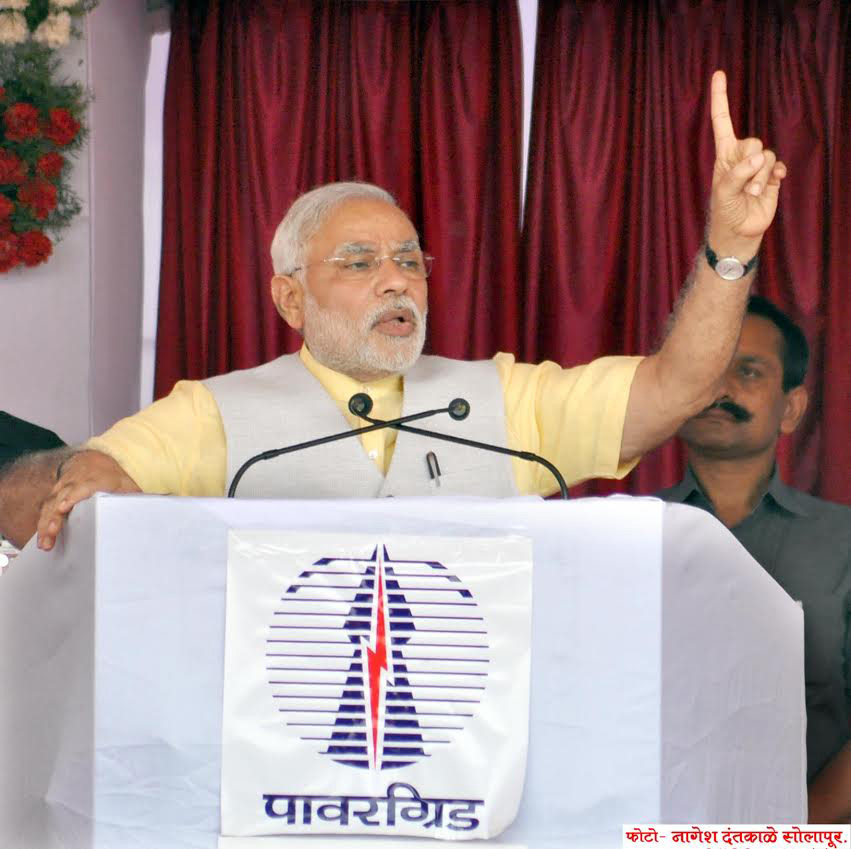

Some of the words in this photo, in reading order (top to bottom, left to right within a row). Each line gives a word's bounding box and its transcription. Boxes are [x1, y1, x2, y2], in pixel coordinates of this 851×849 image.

[257, 775, 489, 835] पावरग्रिड
[624, 825, 658, 846] फोटो
[665, 819, 722, 846] नागेश
[717, 818, 783, 847] दंतकाळे
[777, 825, 849, 849] सोलापूर.